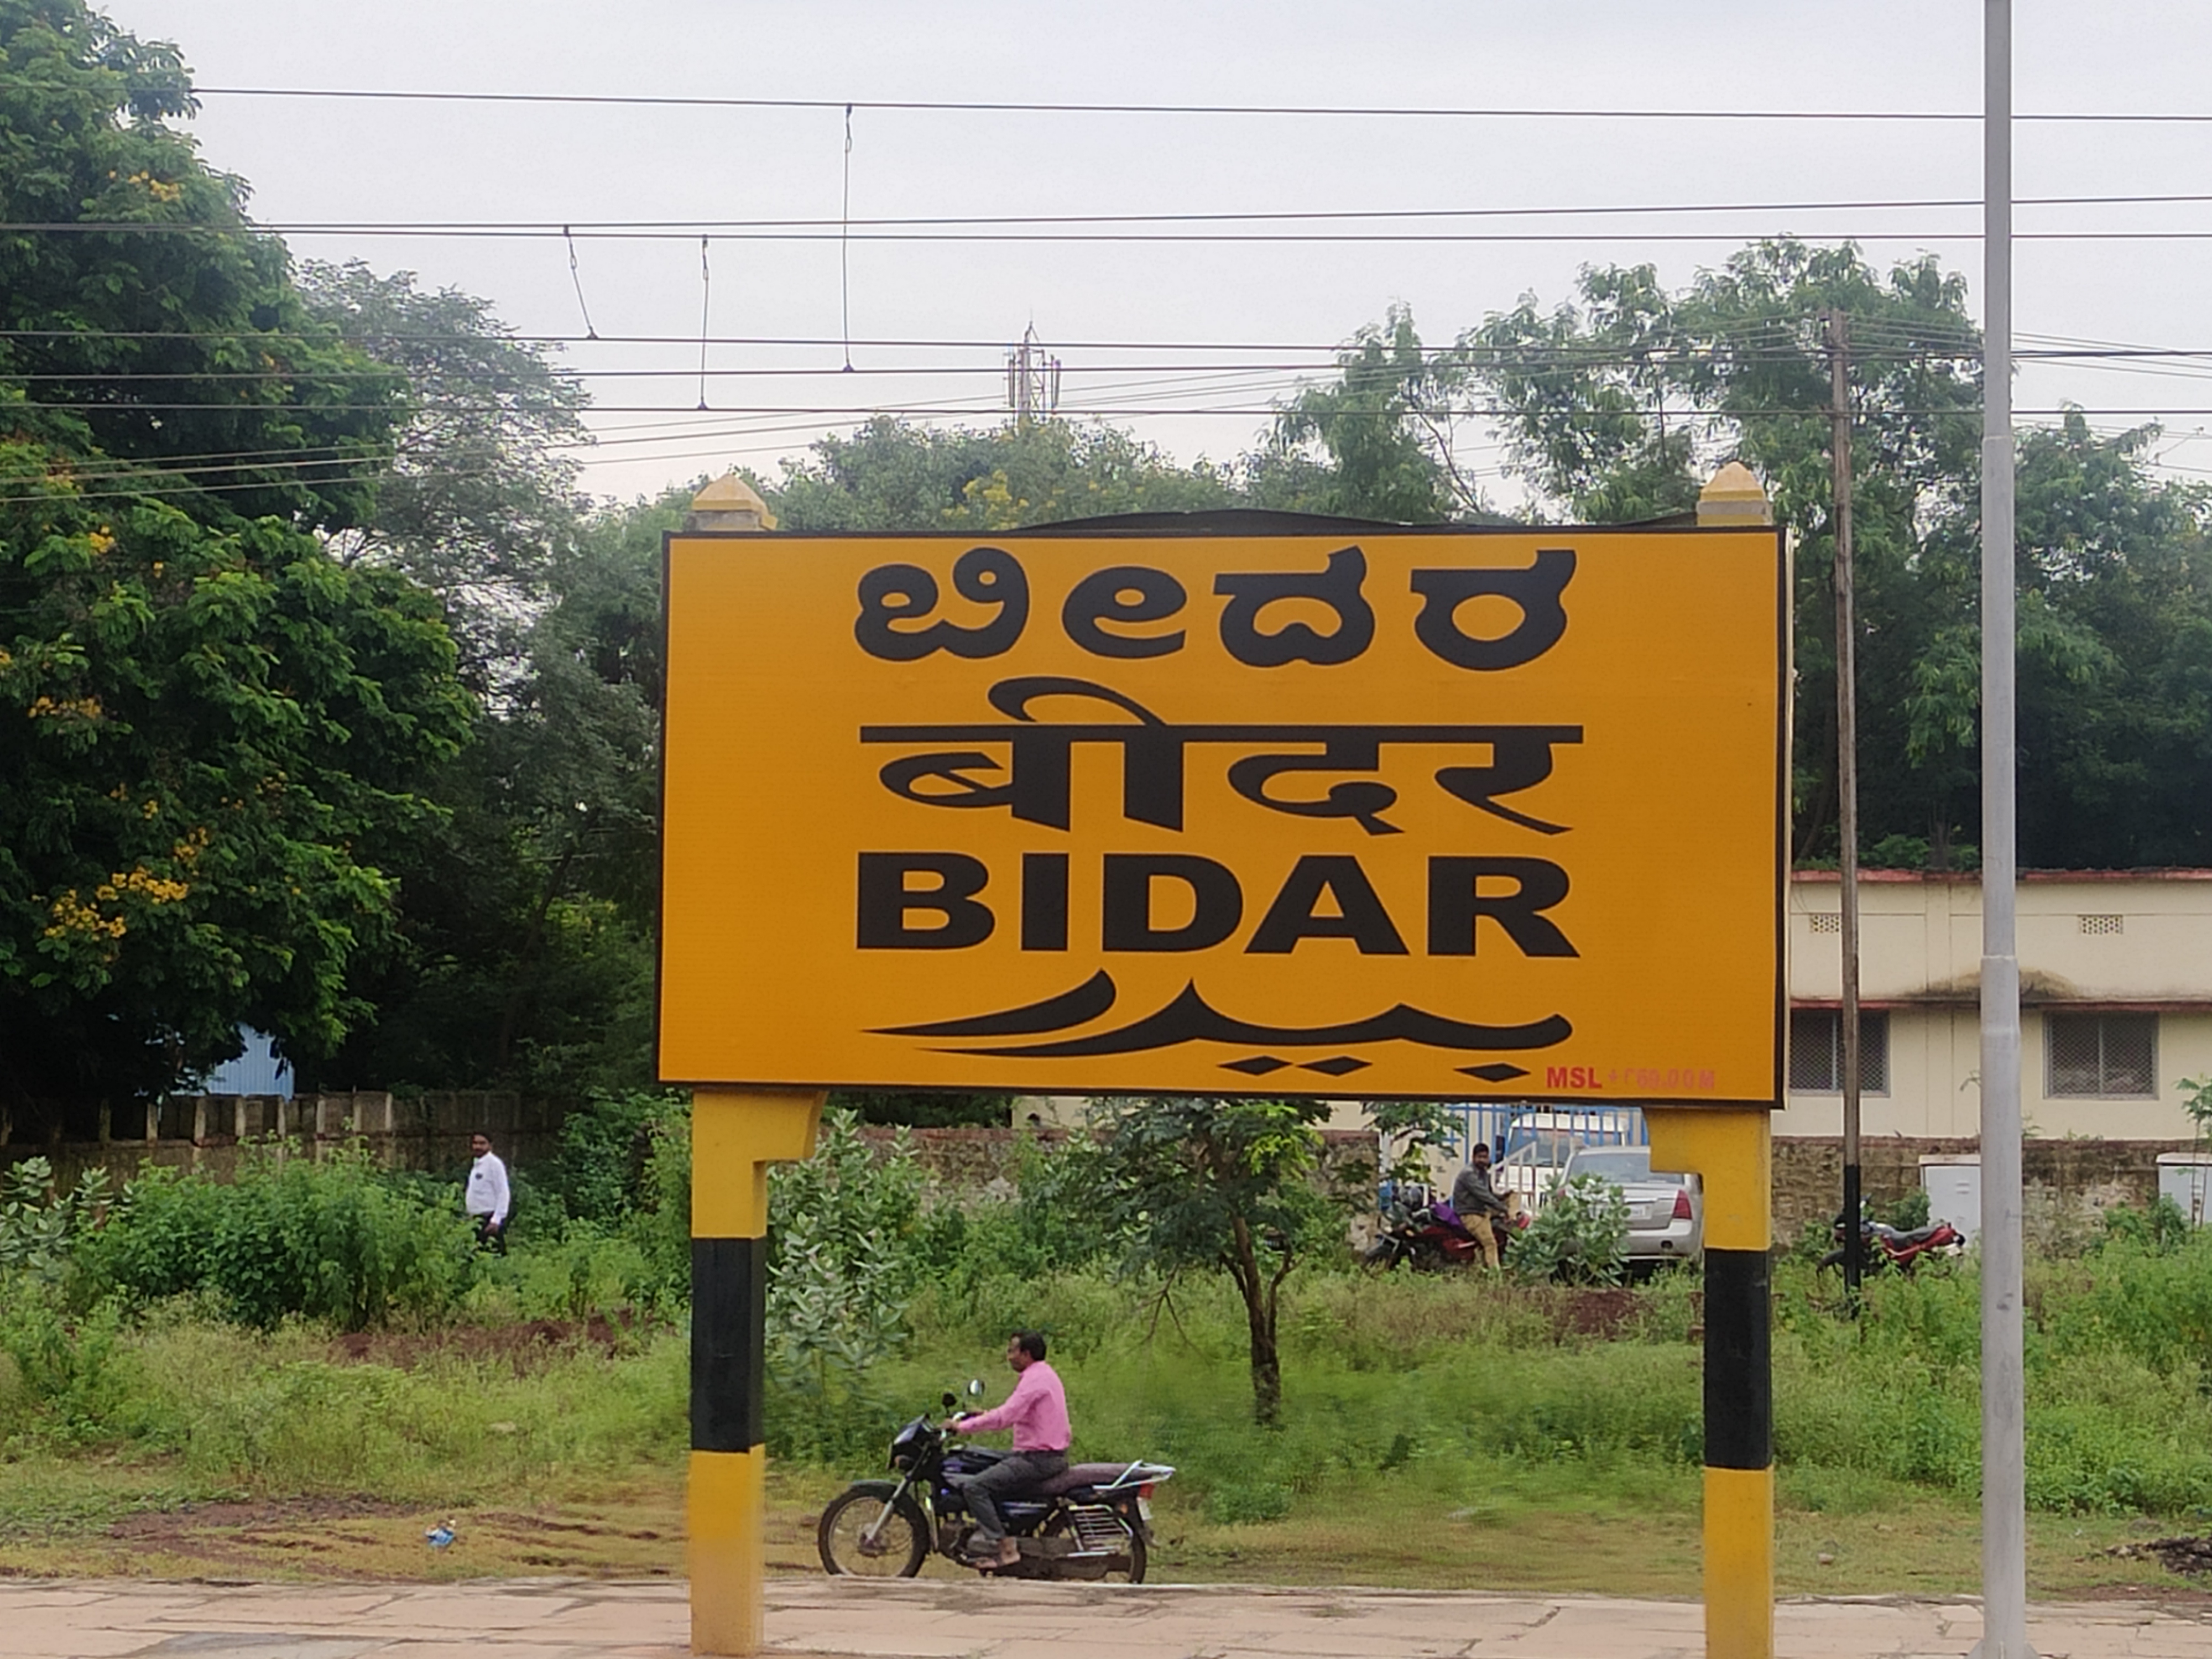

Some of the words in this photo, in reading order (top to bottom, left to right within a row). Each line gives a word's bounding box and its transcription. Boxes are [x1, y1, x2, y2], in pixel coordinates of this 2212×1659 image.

[848, 538, 1579, 678] ಬೀದರ
[853, 670, 1589, 842] बीदर
[852, 844, 1584, 959] BIDAR
[1541, 1060, 1719, 1095] MSL+069.00M